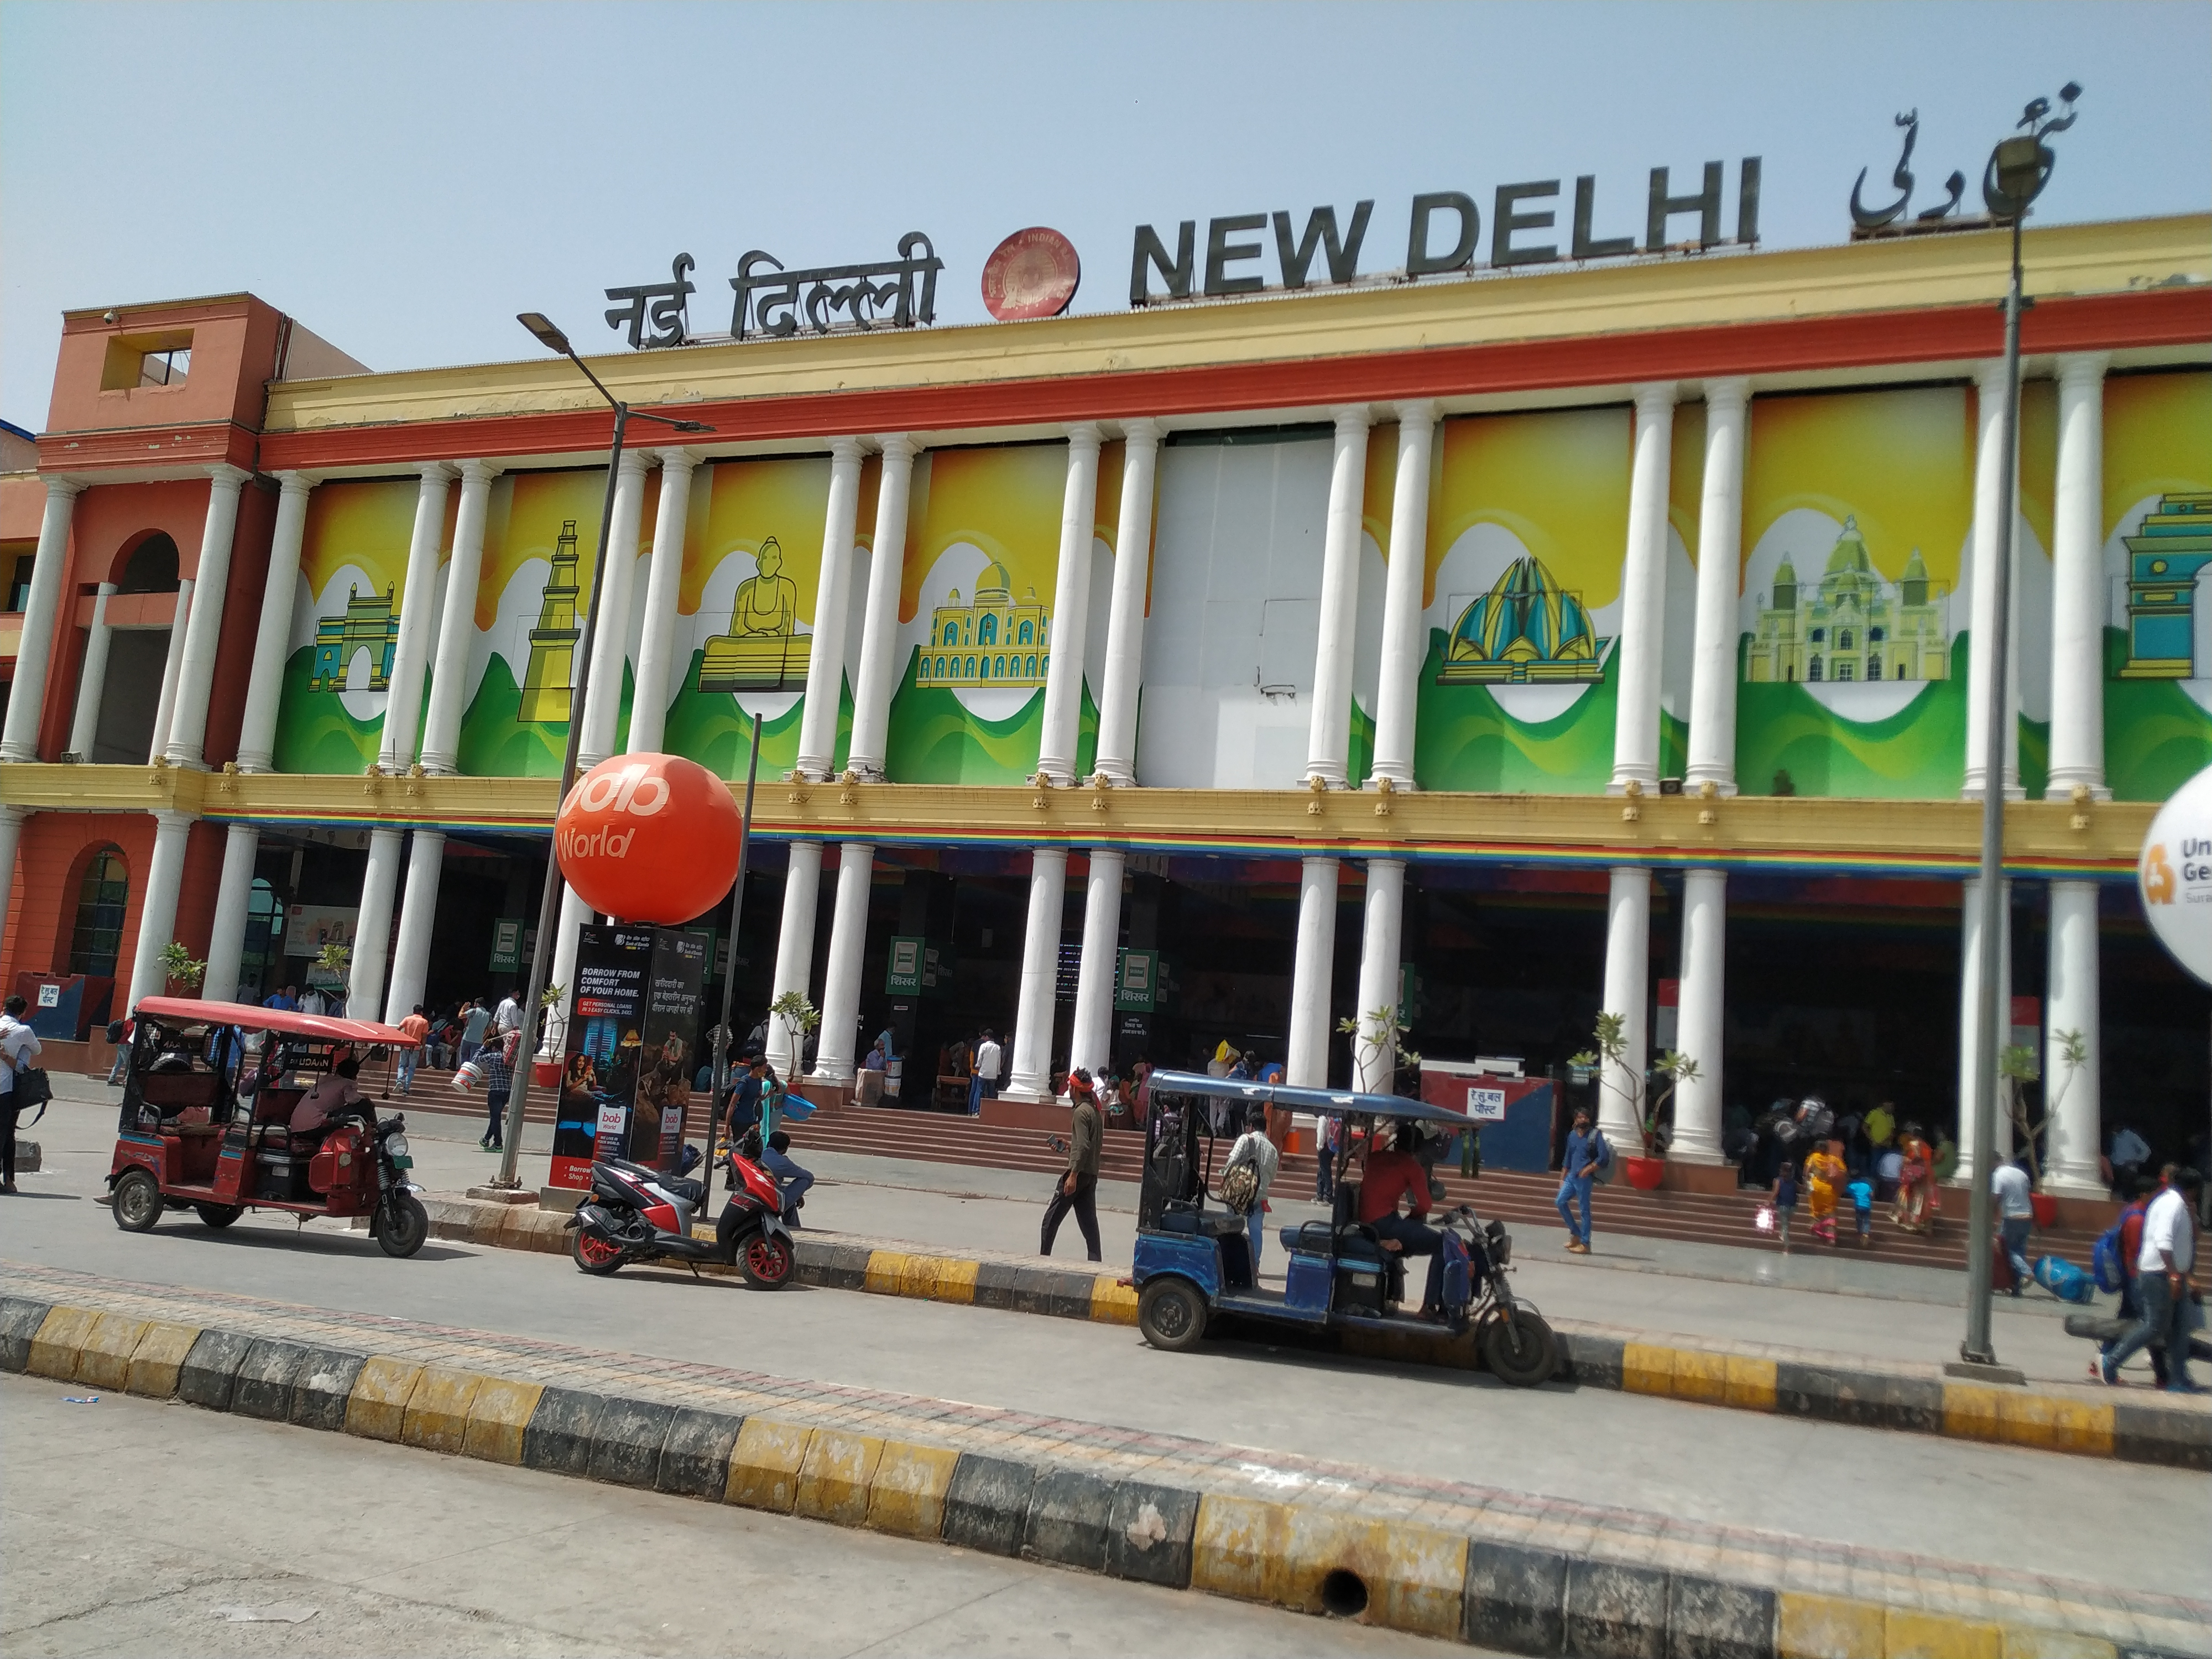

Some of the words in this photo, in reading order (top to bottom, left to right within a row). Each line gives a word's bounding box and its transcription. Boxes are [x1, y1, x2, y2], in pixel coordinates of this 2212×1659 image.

[1406, 156, 1761, 273] DELHI
[1130, 200, 1373, 301] NEW
[727, 231, 945, 341] दिल्ली
[601, 252, 695, 349] नई
[559, 824, 637, 862] World
[488, 950, 517, 968] शिखर
[576, 983, 594, 998] OF
[580, 1005, 590, 1015] IN
[580, 998, 594, 1009] GET
[587, 1005, 604, 1015] 3EASY
[579, 964, 619, 979] BORROW
[578, 974, 622, 988] COMFORT
[590, 984, 618, 998] YOUR
[591, 999, 619, 1010] PERSONAL
[600, 1006, 622, 1017] CLICKS,
[614, 1001, 634, 1011] LOANS
[612, 986, 642, 999] HOME,
[619, 1008, 635, 1017] 24X7,
[614, 967, 644, 980] FROM
[651, 989, 664, 1001] एक
[650, 999, 667, 1016] वीरान
[652, 975, 677, 990] खरीददारी
[659, 987, 684, 1004] बेहतरीन
[665, 1000, 682, 1016] जगहों।
[674, 980, 686, 993] का
[677, 1004, 690, 1016] पर
[679, 993, 698, 1008] अनुभव
[684, 1003, 696, 1017] भी
[887, 972, 922, 989] शिखर
[1467, 1086, 1504, 1104] रे.सु.बल
[1472, 1098, 1498, 1117] पोस्ट
[597, 1109, 625, 1125] bob
[601, 1121, 619, 1131] World